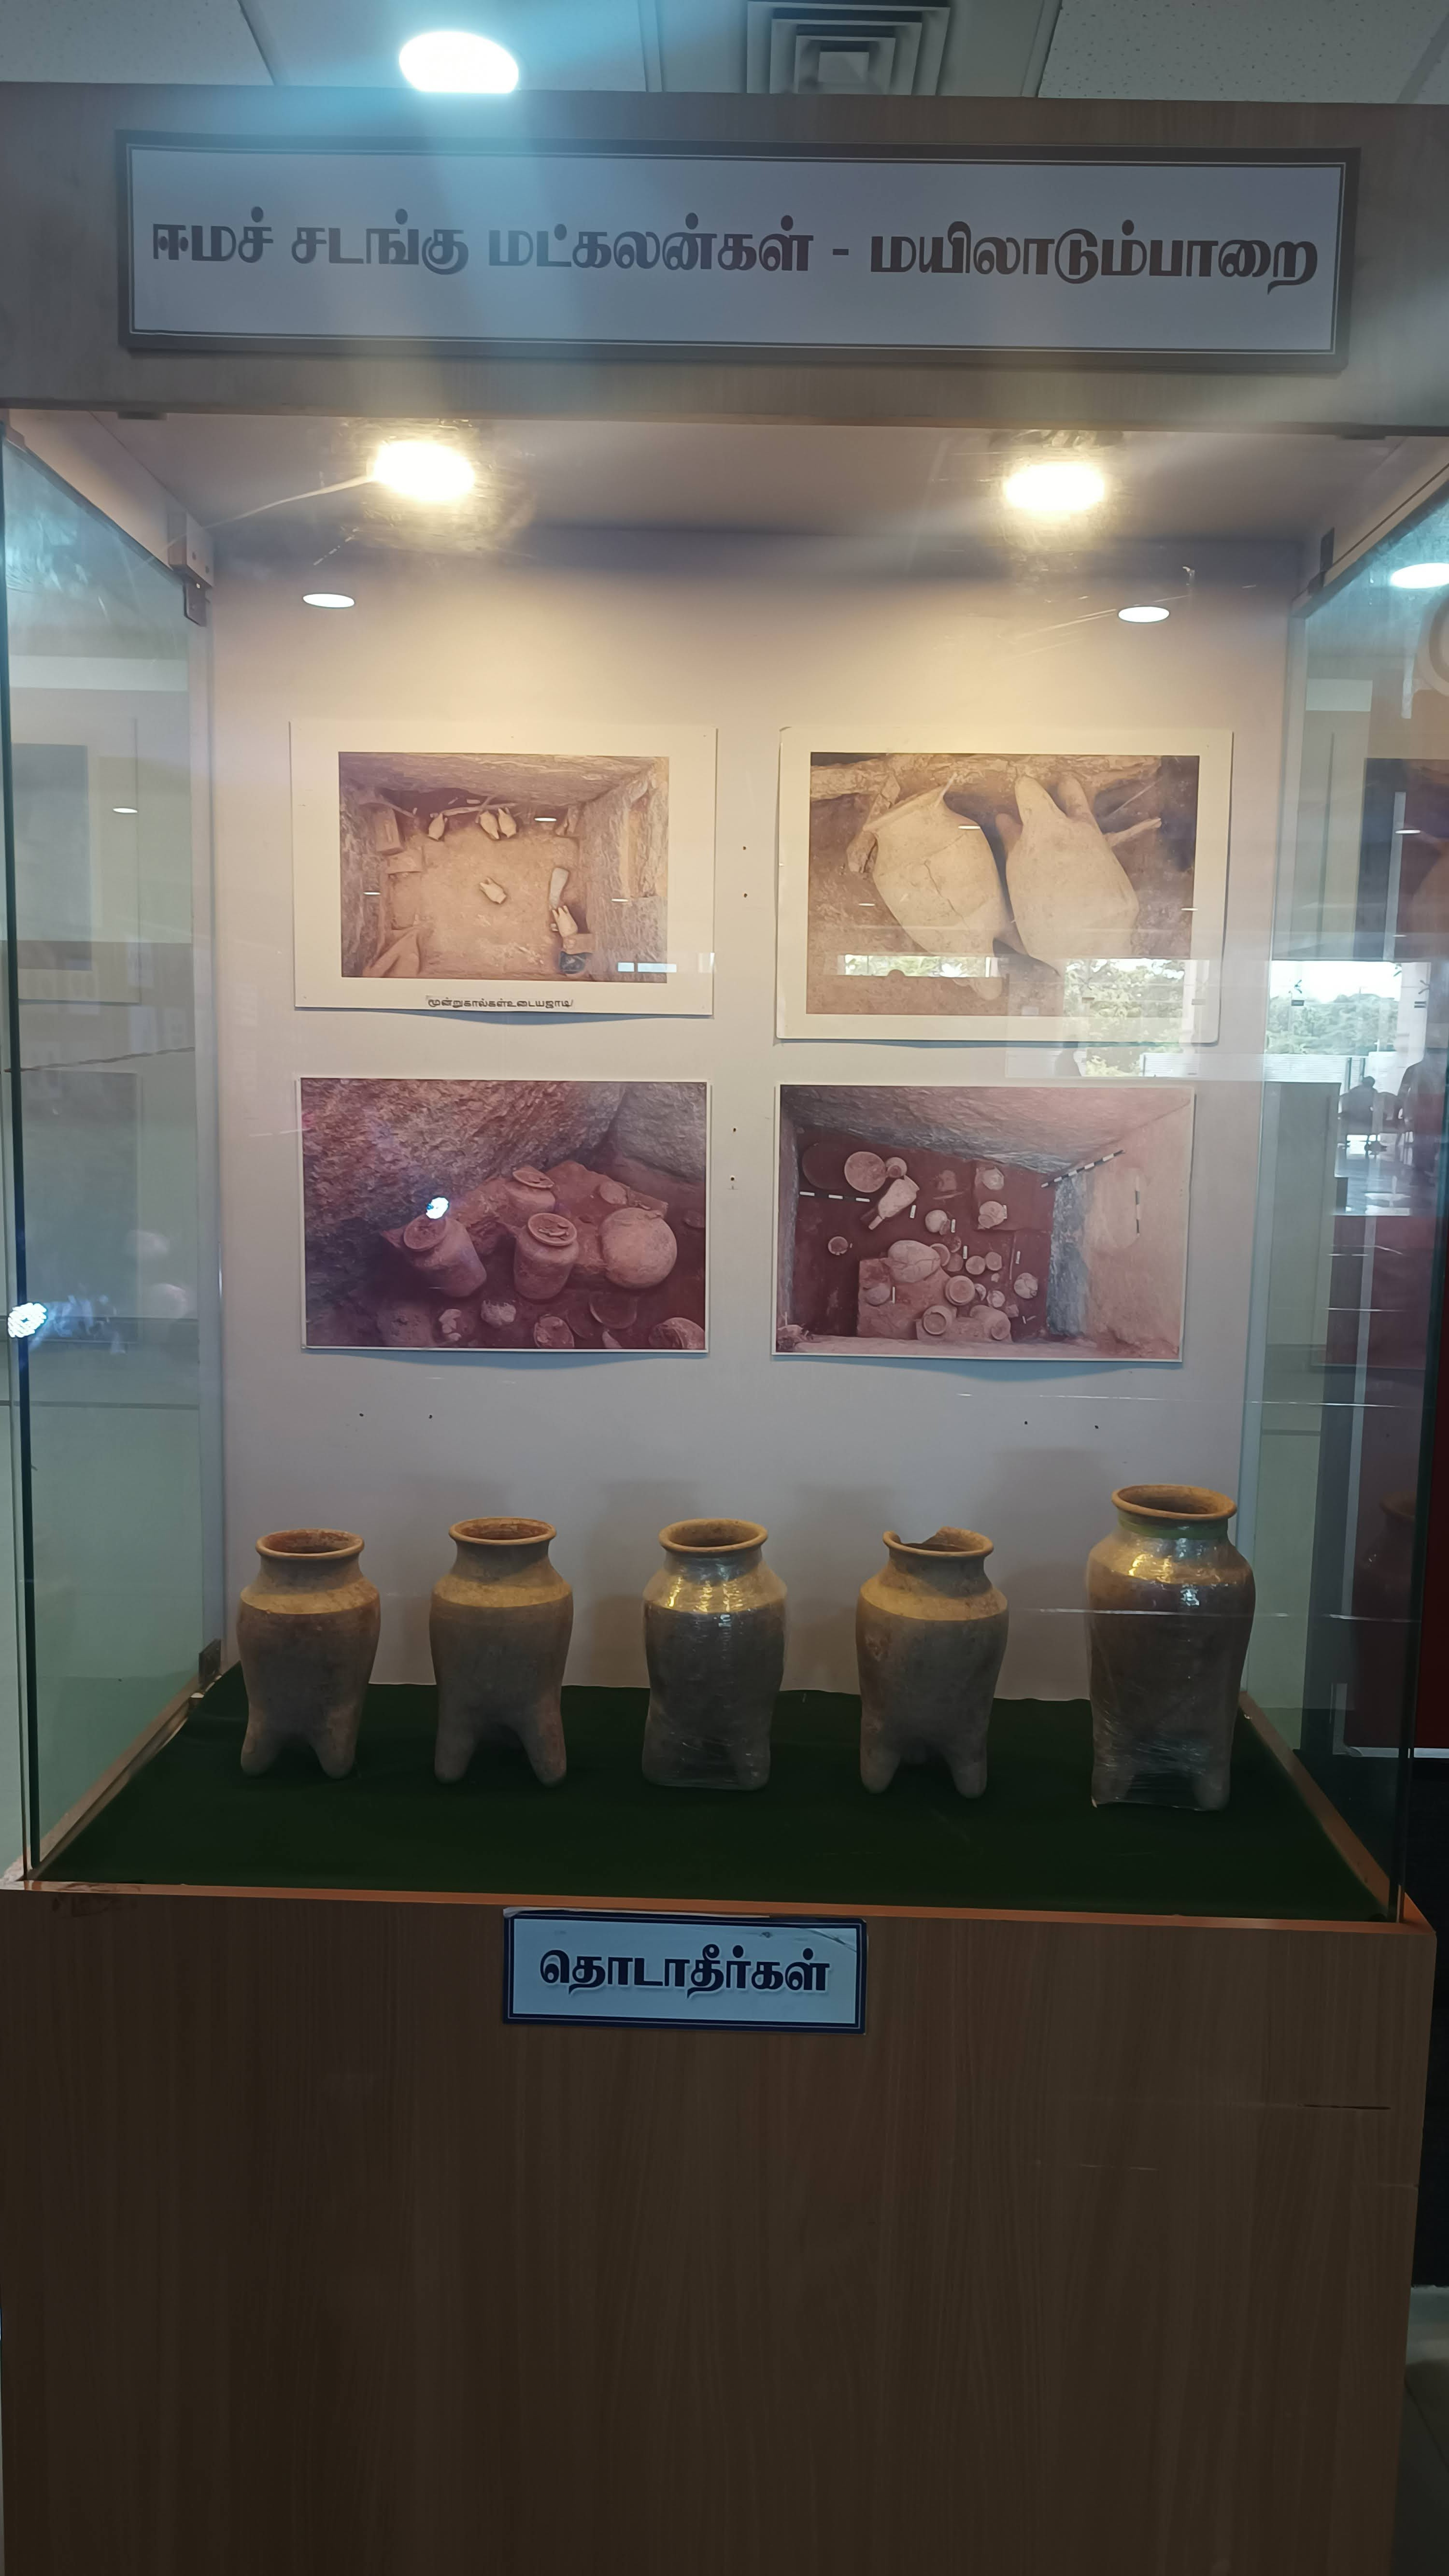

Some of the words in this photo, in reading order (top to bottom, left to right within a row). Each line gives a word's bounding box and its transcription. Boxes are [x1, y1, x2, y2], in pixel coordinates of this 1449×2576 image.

[153, 201, 276, 265] ஈமச்
[290, 202, 473, 282] சடங்கு
[485, 211, 816, 275] மட்கலன்கள்
[866, 213, 1321, 296] மயிலாடும்பாறை
[535, 1934, 836, 2005] தொடாதீா்கள்